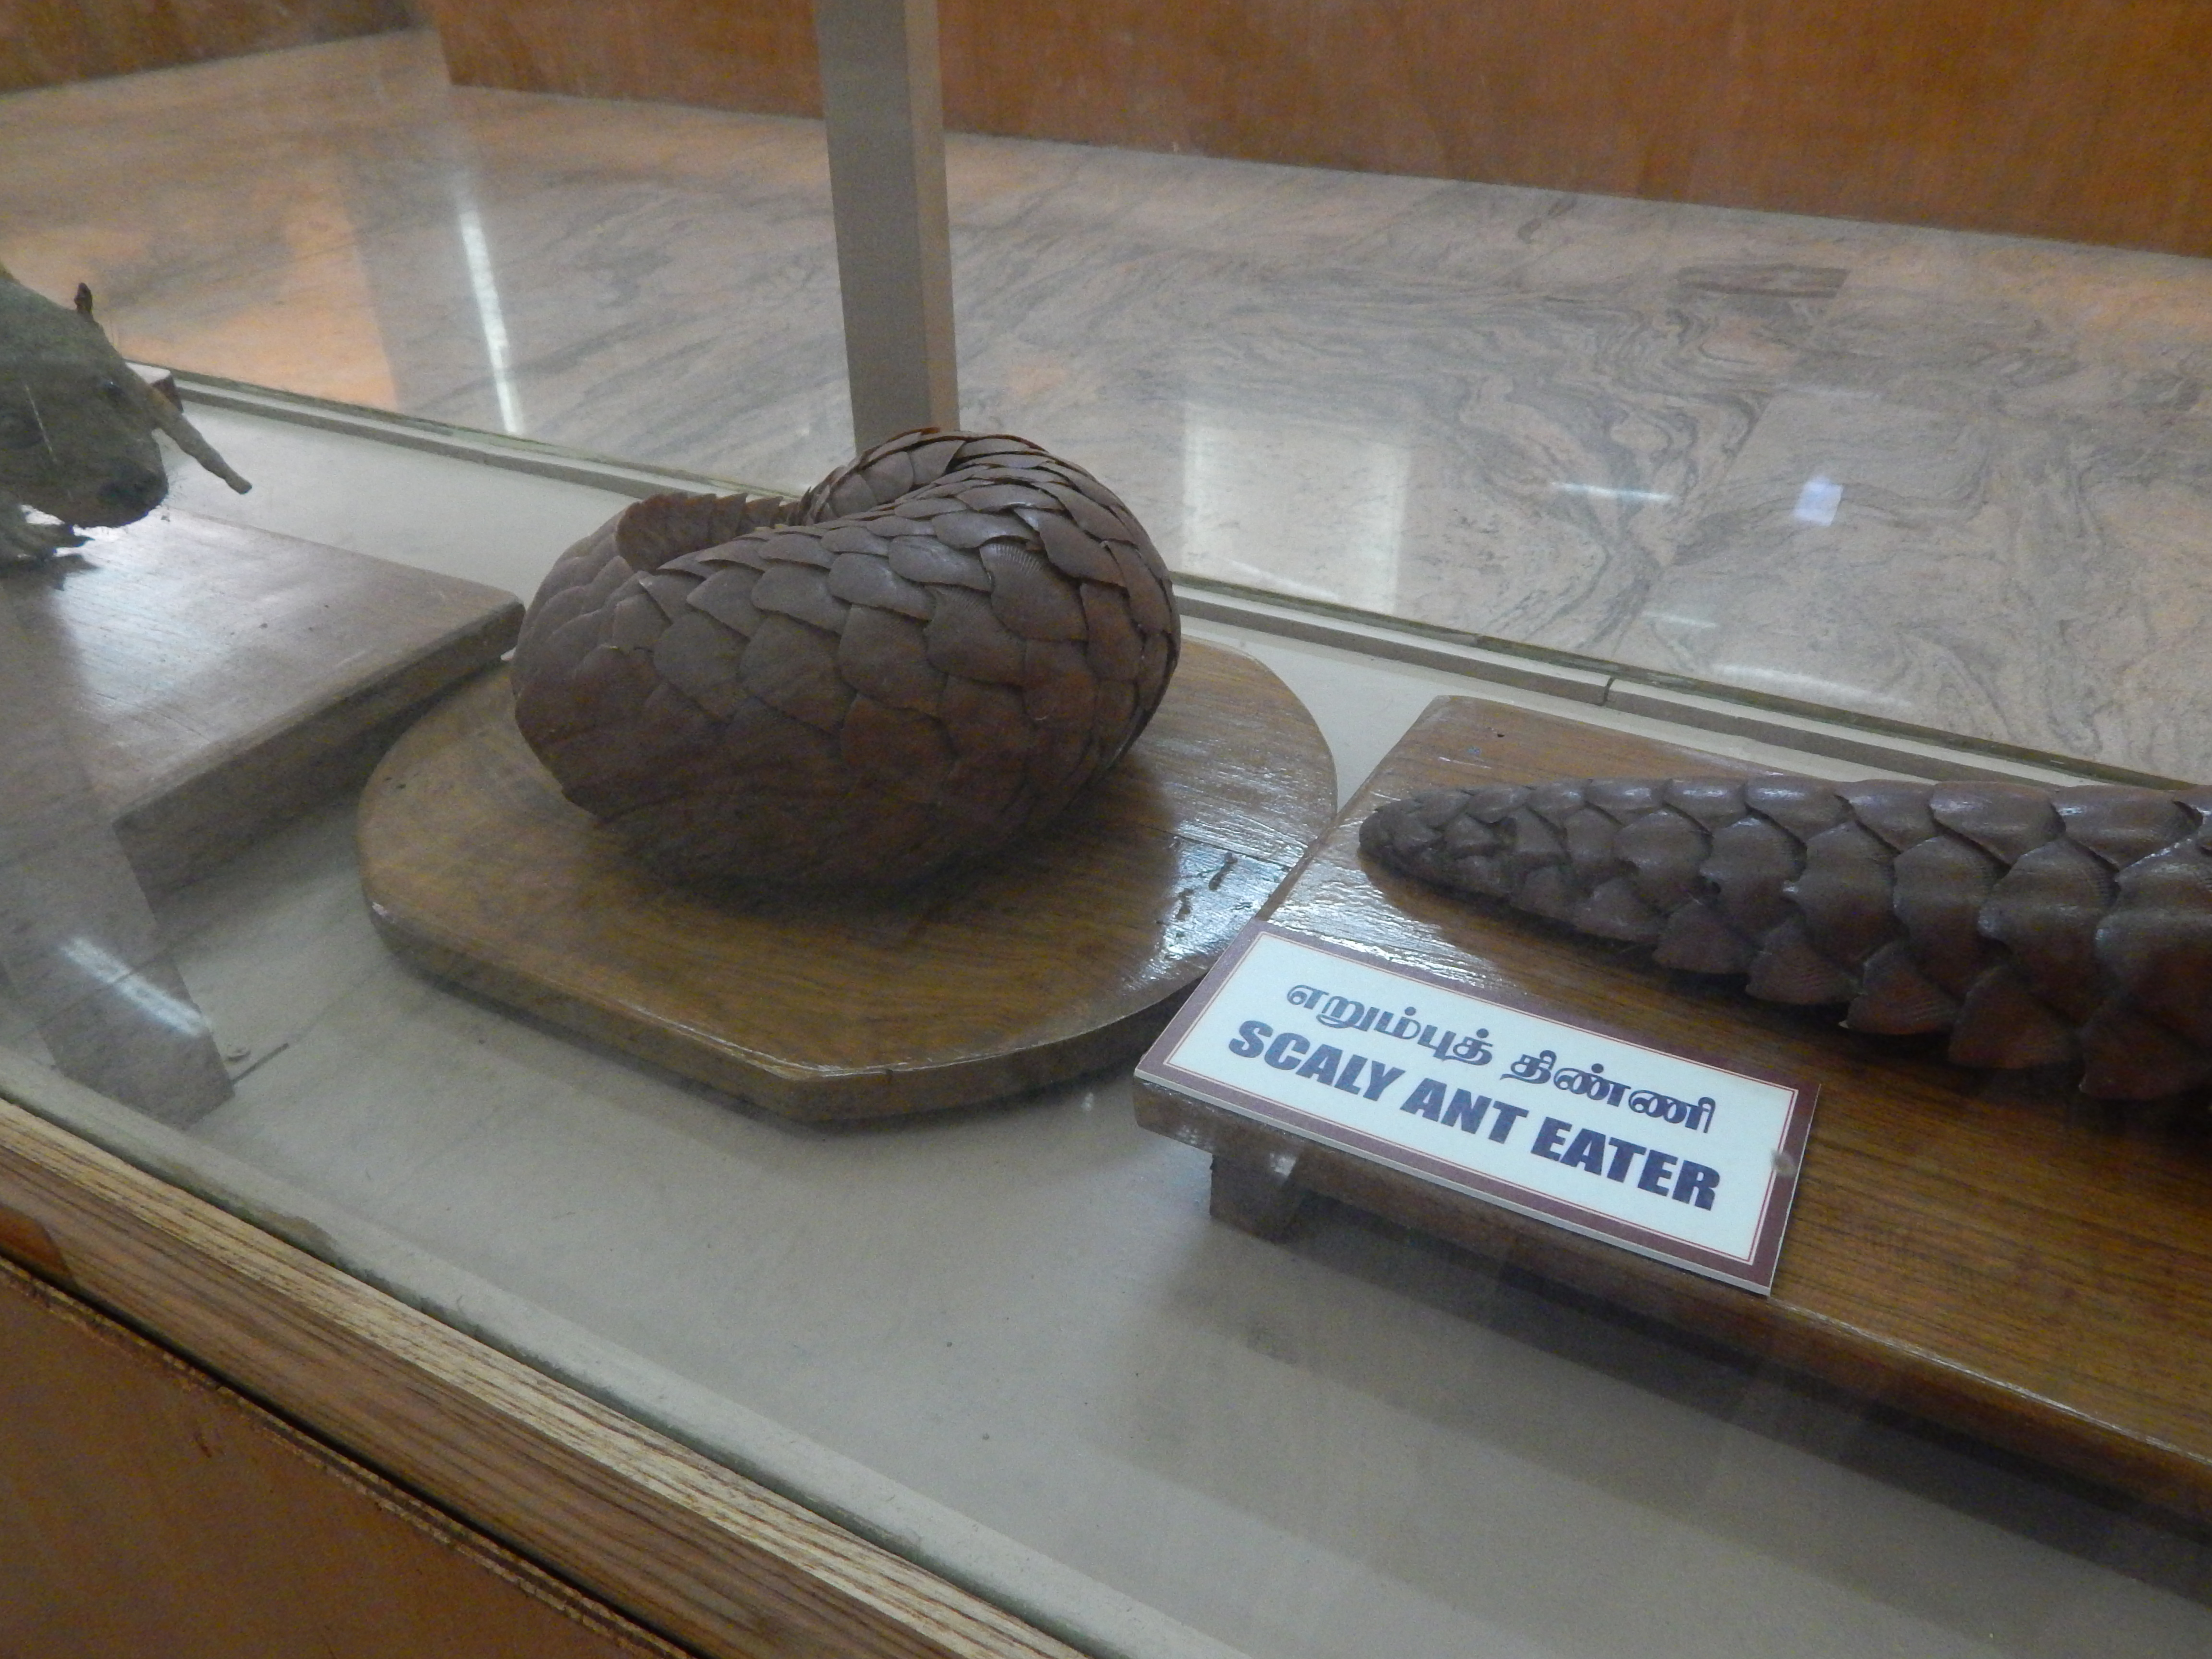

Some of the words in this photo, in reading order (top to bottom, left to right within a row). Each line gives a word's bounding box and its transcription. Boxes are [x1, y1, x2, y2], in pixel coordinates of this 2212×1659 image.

[1221, 1014, 1409, 1106] SCALY
[1285, 976, 1503, 1074] எறும்புத்
[1394, 1072, 1530, 1151] ANT
[1498, 1044, 1723, 1135] திண்ணி
[1522, 1112, 1725, 1215] EATER